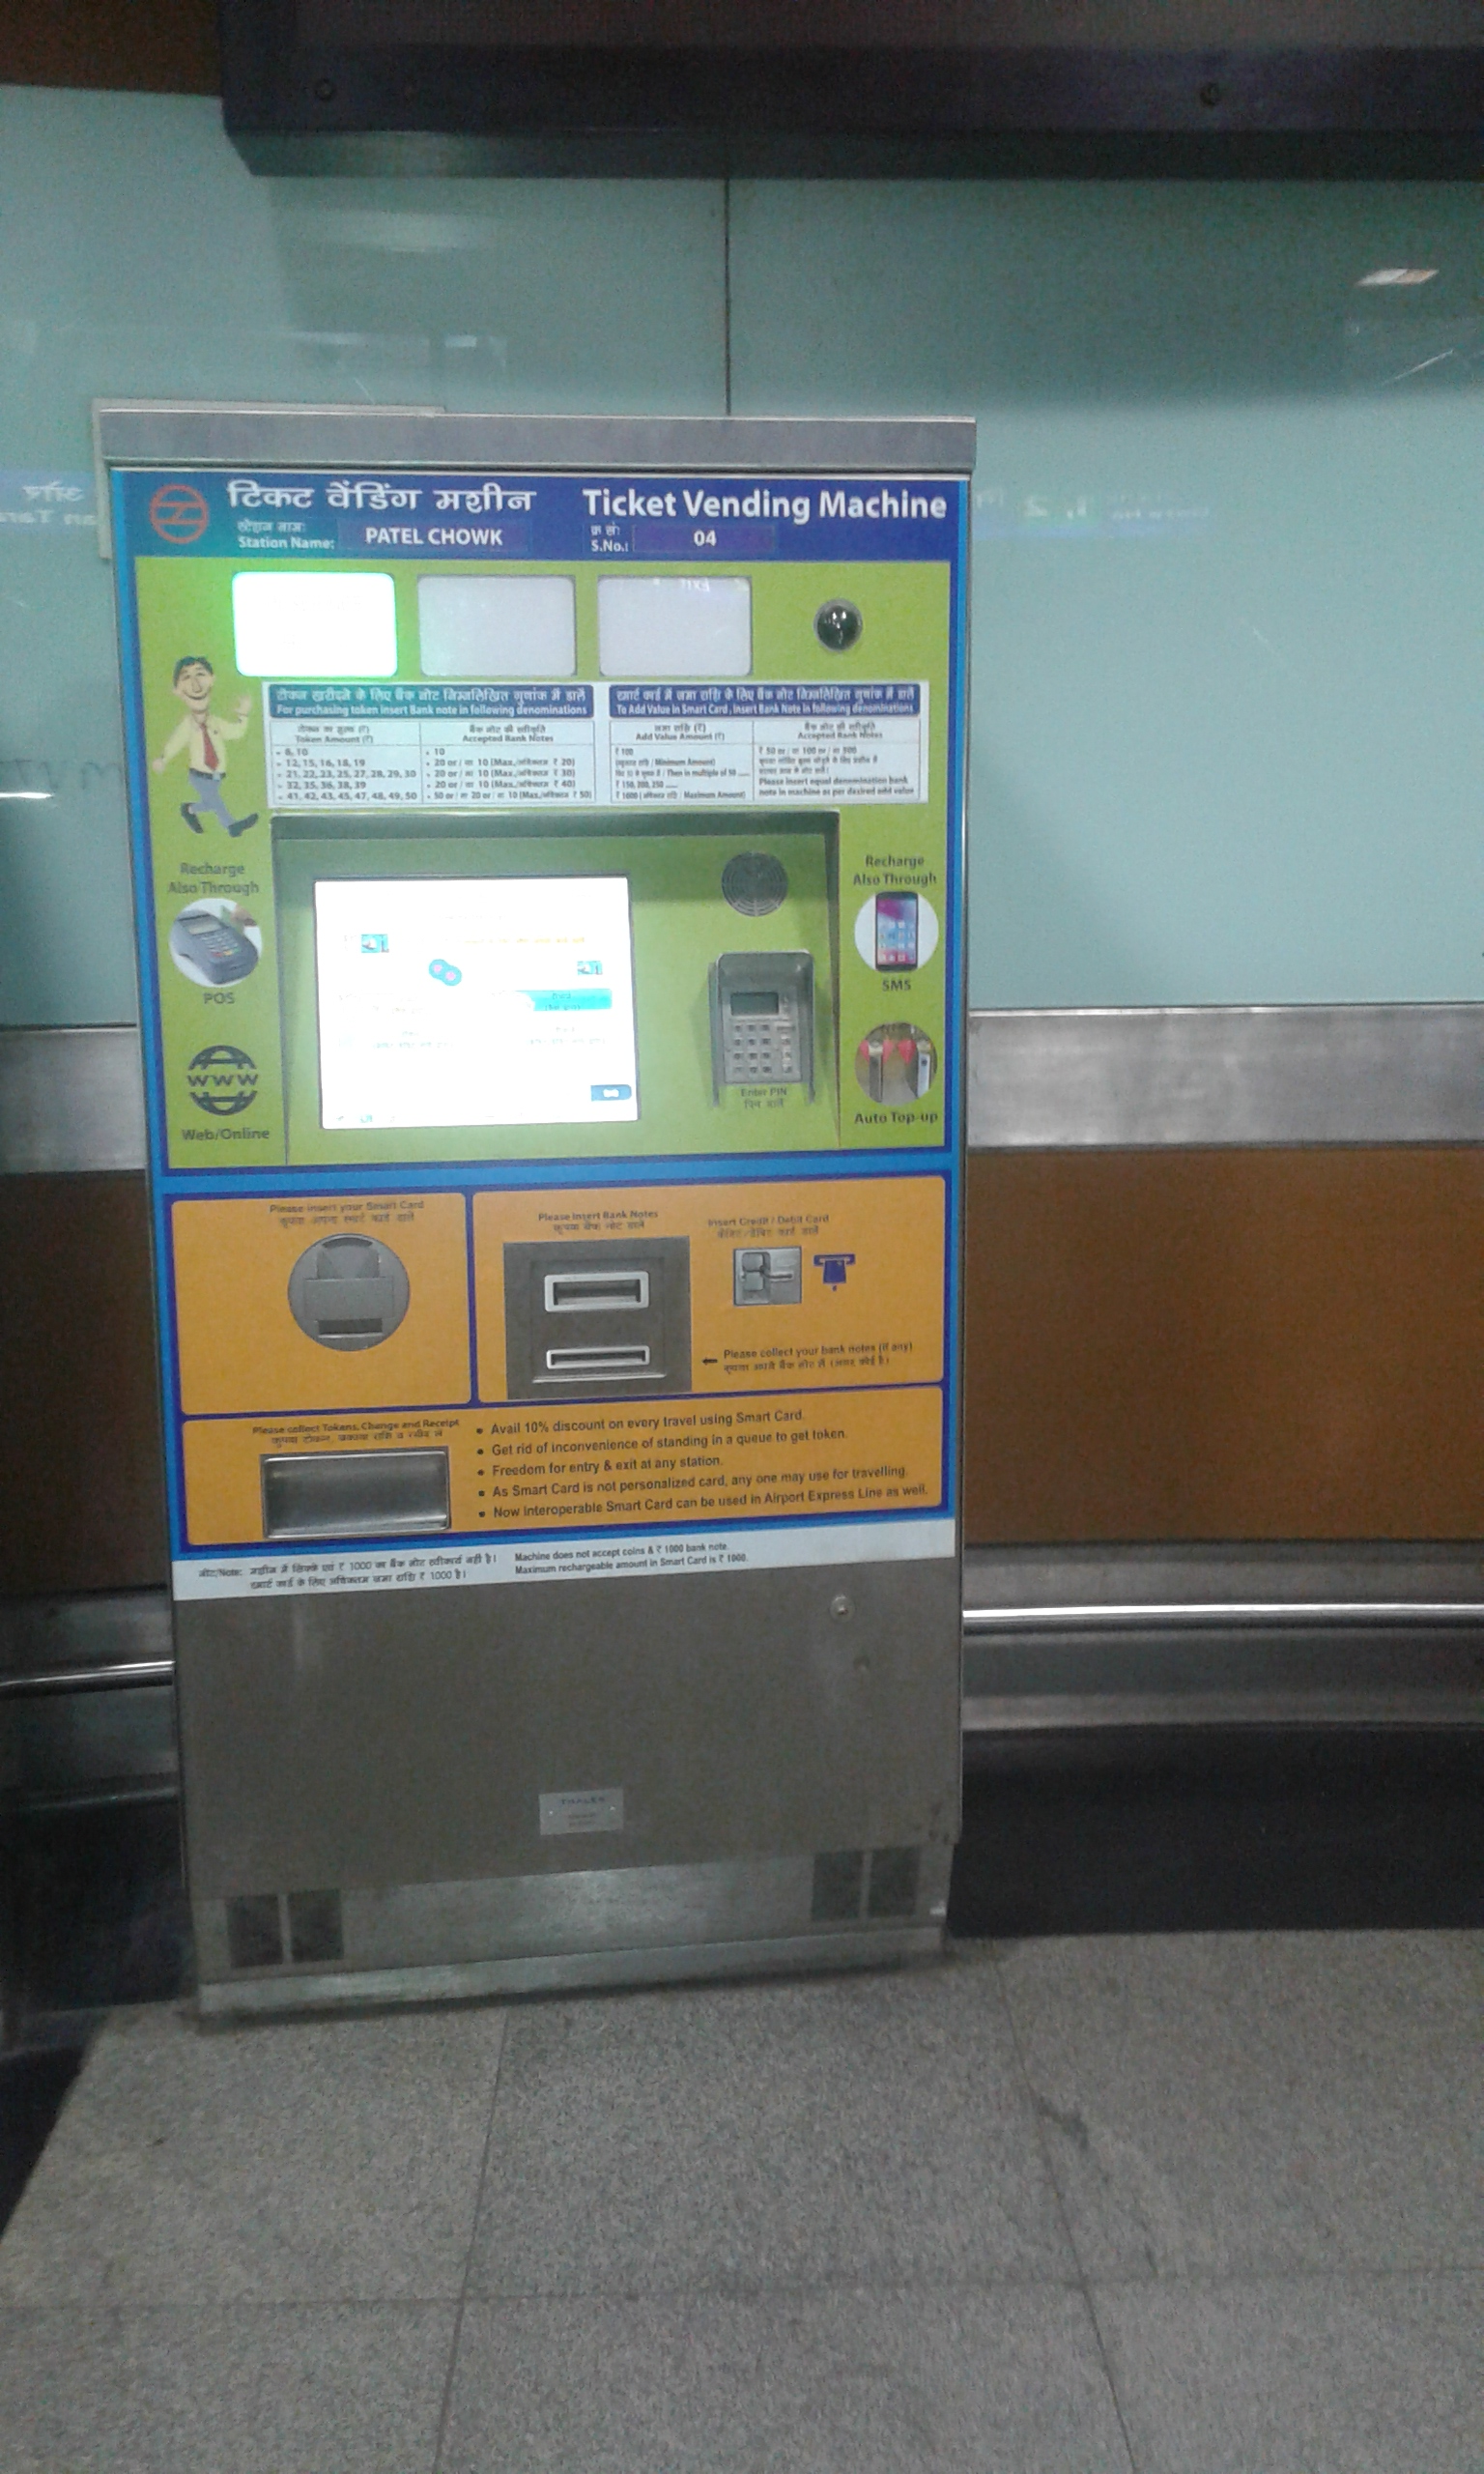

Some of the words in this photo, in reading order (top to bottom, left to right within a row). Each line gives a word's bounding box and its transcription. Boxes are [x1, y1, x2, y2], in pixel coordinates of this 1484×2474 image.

[221, 473, 320, 510] टिकट
[320, 475, 428, 515] वेंडिंग
[432, 479, 540, 519] मशीन
[580, 481, 679, 523] Ticket
[677, 486, 814, 532] Vending
[814, 485, 950, 521] Machine
[233, 511, 277, 536] स्टेशन
[236, 534, 291, 555] Station
[287, 534, 336, 554] Name:
[360, 521, 424, 548] PATEL
[424, 523, 505, 551] CHOWK
[174, 853, 250, 880] Recharge
[861, 847, 928, 874] Recharge
[163, 875, 201, 900] Also
[200, 876, 260, 901] Through
[850, 869, 884, 892] Also
[880, 869, 939, 894] Through
[878, 975, 917, 996] SMS
[201, 989, 237, 1009] POS
[851, 1108, 889, 1130] Auto
[888, 1108, 944, 1129] Top-up
[179, 1124, 220, 1147] Web/
[218, 1122, 271, 1146] Online
[487, 1439, 517, 1461] Get
[487, 1418, 523, 1437] Avail
[513, 1442, 537, 1462] rid
[523, 1416, 552, 1438] 10%
[532, 1438, 550, 1462] of
[550, 1415, 607, 1438] discount
[548, 1436, 640, 1458] inconvenience
[604, 1416, 626, 1434] on
[623, 1413, 662, 1435] every
[638, 1433, 656, 1454] of
[660, 1412, 699, 1429] travel
[654, 1430, 710, 1454] standing
[696, 1412, 737, 1432] बडवेट्ट
[708, 1430, 725, 1453] in
[724, 1431, 737, 1455] व
[733, 1406, 774, 1427] Smart
[733, 1430, 778, 1452] queue
[774, 1424, 789, 1448] to
[770, 1404, 806, 1427] Card
[789, 1427, 811, 1452] get
[809, 1424, 847, 1445] token
[489, 1482, 511, 1504] As
[489, 1503, 525, 1522] Now
[489, 1459, 548, 1481] Freedom
[509, 1480, 548, 1501] Smart
[546, 1456, 567, 1480] for
[521, 1496, 605, 1522] interoperable
[546, 1478, 582, 1497] Card
[566, 1458, 602, 1478] entry
[575, 1476, 596, 1498] is
[591, 1476, 619, 1495] not
[599, 1455, 615, 1474] &
[604, 1495, 642, 1518] Smart
[613, 1454, 641, 1478] exit
[635, 1455, 654, 1475] at
[614, 1474, 697, 1496] personalized
[641, 1494, 677, 1516] Card
[650, 1453, 679, 1474] any
[674, 1494, 699, 1511] can
[673, 1453, 724, 1474] station
[696, 1495, 714, 1514] be
[693, 1472, 728, 1489] card,
[713, 1491, 751, 1512] used
[728, 1471, 756, 1491] any
[745, 1490, 762, 1510] in
[751, 1470, 778, 1489] one
[760, 1487, 808, 1508] Airport
[778, 1468, 810, 1487] may
[805, 1468, 830, 1486] use
[803, 1485, 857, 1506] Express
[824, 1464, 851, 1484] for
[853, 1484, 882, 1501] Line
[849, 1462, 907, 1485] travelling
[898, 1481, 927, 1500] well